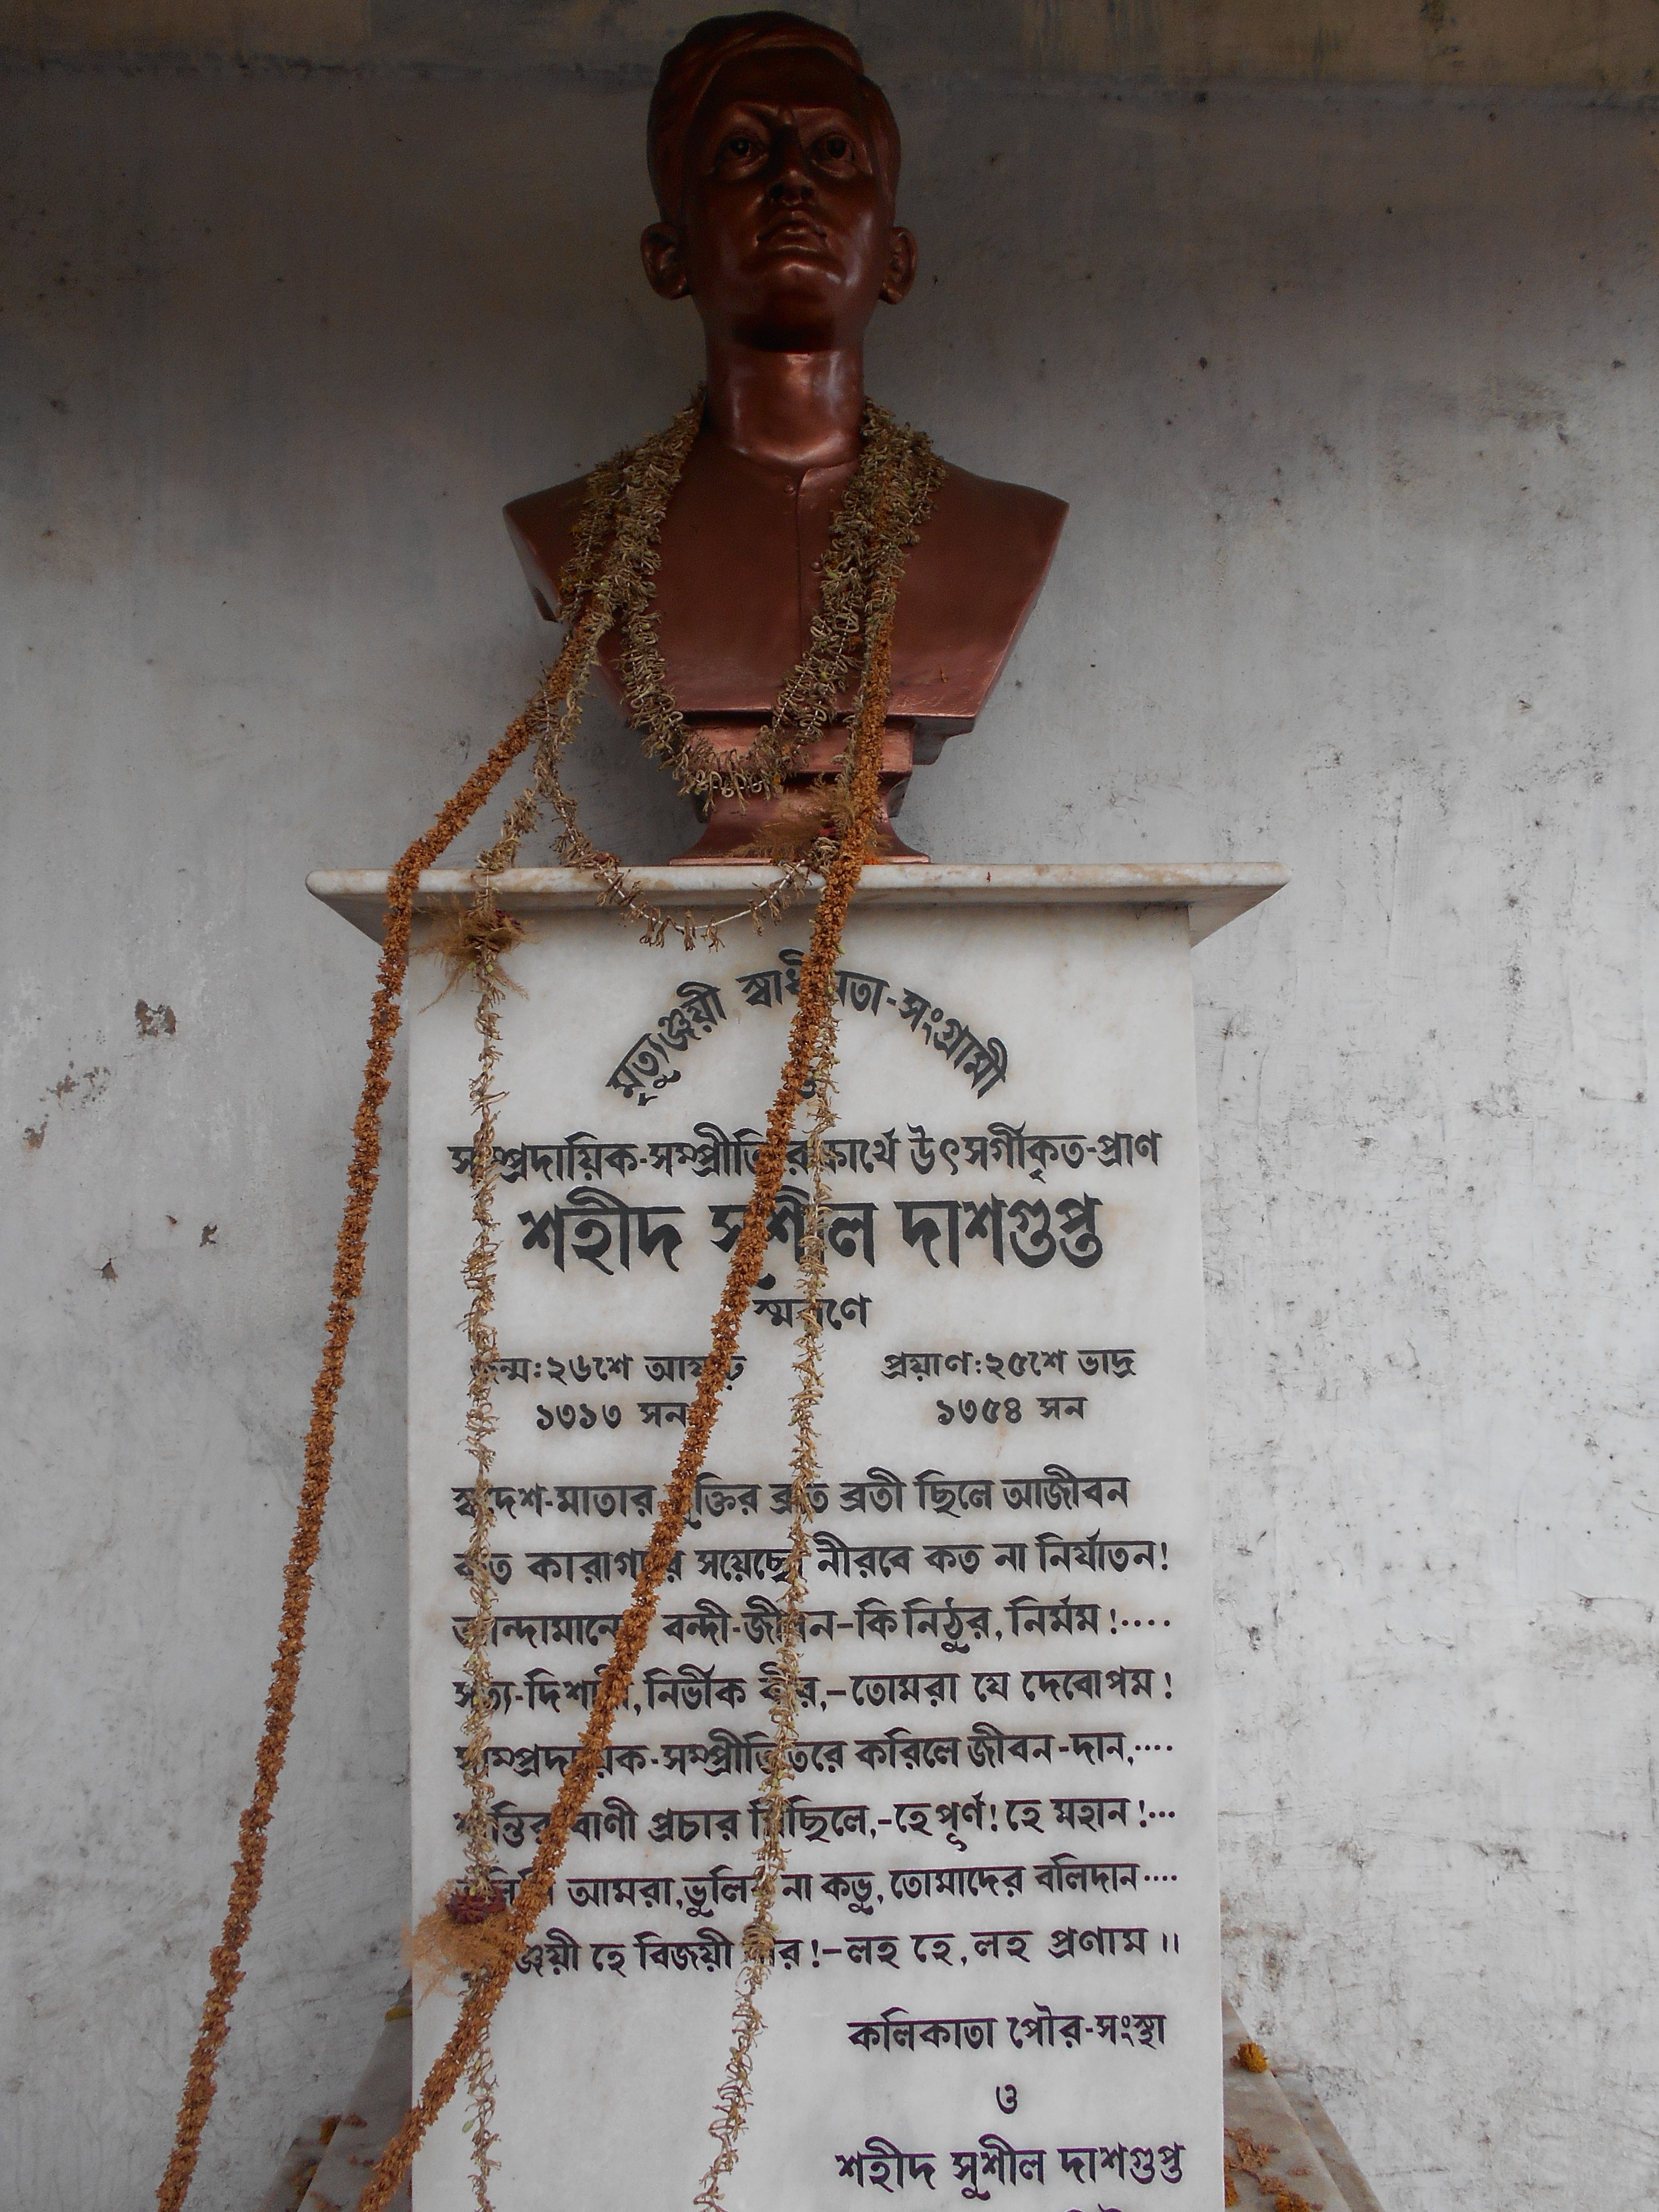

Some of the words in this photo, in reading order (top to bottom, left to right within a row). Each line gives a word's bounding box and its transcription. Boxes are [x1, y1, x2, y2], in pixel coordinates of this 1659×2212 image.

[592, 973, 727, 1119] মৃত্যুঞ্জয়ী
[893, 983, 1016, 1106] সংগ্রামী
[441, 1122, 645, 1187] সম্পদায়িক
[898, 1114, 1090, 1191] উৎসর্গীকৃত
[1087, 1117, 1163, 1173] প্রাণ
[510, 1170, 694, 1284] শহীদ
[703, 1174, 889, 1296] সুশীল
[890, 1189, 1109, 1276] দাশগুপ্ত
[538, 1348, 641, 1392] ২৬শে
[873, 1344, 976, 1384] প্রয়াণ
[980, 1343, 1072, 1388] ২৫শে
[1075, 1343, 1140, 1382] ভাদ্র
[530, 1396, 622, 1436] ১৩১৩
[623, 1391, 690, 1437] সন
[929, 1387, 1024, 1434] ১৩৫৪
[1030, 1385, 1098, 1434] সন
[446, 1474, 665, 1532] দশ-মাতার
[677, 1453, 769, 1523] ক্তির
[832, 1463, 908, 1521] ব্রতী
[911, 1461, 999, 1525] ছিলে
[995, 1455, 1134, 1516] আজীবন
[522, 1542, 688, 1590] কারাগা
[691, 1533, 812, 1591] সয়েছে
[802, 1520, 919, 1586] নীরবে
[920, 1539, 985, 1581] কত
[987, 1536, 1039, 1577] না
[1021, 1523, 1179, 1581] নির্যাতন!
[445, 1607, 623, 1656] ন্দামানে
[658, 1594, 730, 1652] বন্দী
[732, 1583, 839, 1648] জীবন
[843, 1584, 994, 1662] কি নিঠুর
[996, 1586, 1111, 1646] নির্মম
[441, 1656, 635, 1717] ত্য-দিশা
[635, 1657, 748, 1719] নির্ভীক
[839, 1668, 960, 1715] -তোমরা
[965, 1663, 1019, 1708] যে
[1012, 1661, 1179, 1708] দেবোগম !
[654, 1723, 851, 1783] সম্পীতিতরে
[848, 1724, 960, 1777] করিলে
[960, 1717, 1062, 1775] জীবন
[1055, 1721, 1134, 1768] -দান
[568, 1782, 643, 1851] বাণী
[645, 1799, 741, 1846] গ্রচার
[734, 1774, 875, 1849] মিছিলে,
[890, 1781, 1048, 1859] হে পূর্ণ! হে
[1042, 1788, 1140, 1837] মহান
[562, 1859, 678, 1914] আমরা
[672, 1857, 751, 1924] ভুলি
[776, 1861, 820, 1910] না
[814, 1856, 891, 1917] কড়ু,
[877, 1859, 1027, 1905] তোমাদের
[1028, 1851, 1143, 1900] বলিদান
[633, 1922, 735, 1975] বিজয়ী
[834, 1917, 905, 1974] লহ
[907, 1914, 1040, 1975] হে, লহ
[1042, 1917, 1154, 1962] প্রণাম
[842, 1995, 1001, 2061] কলিকাতা
[1000, 1987, 1089, 2054] গৌর
[1086, 2005, 1170, 2058] -সংস্থা
[990, 2078, 1024, 2121] ও
[825, 2132, 940, 2201] শহীদ
[938, 2127, 1050, 2205] সুশীল
[1051, 2129, 1190, 2194] দাশগুপ্ত